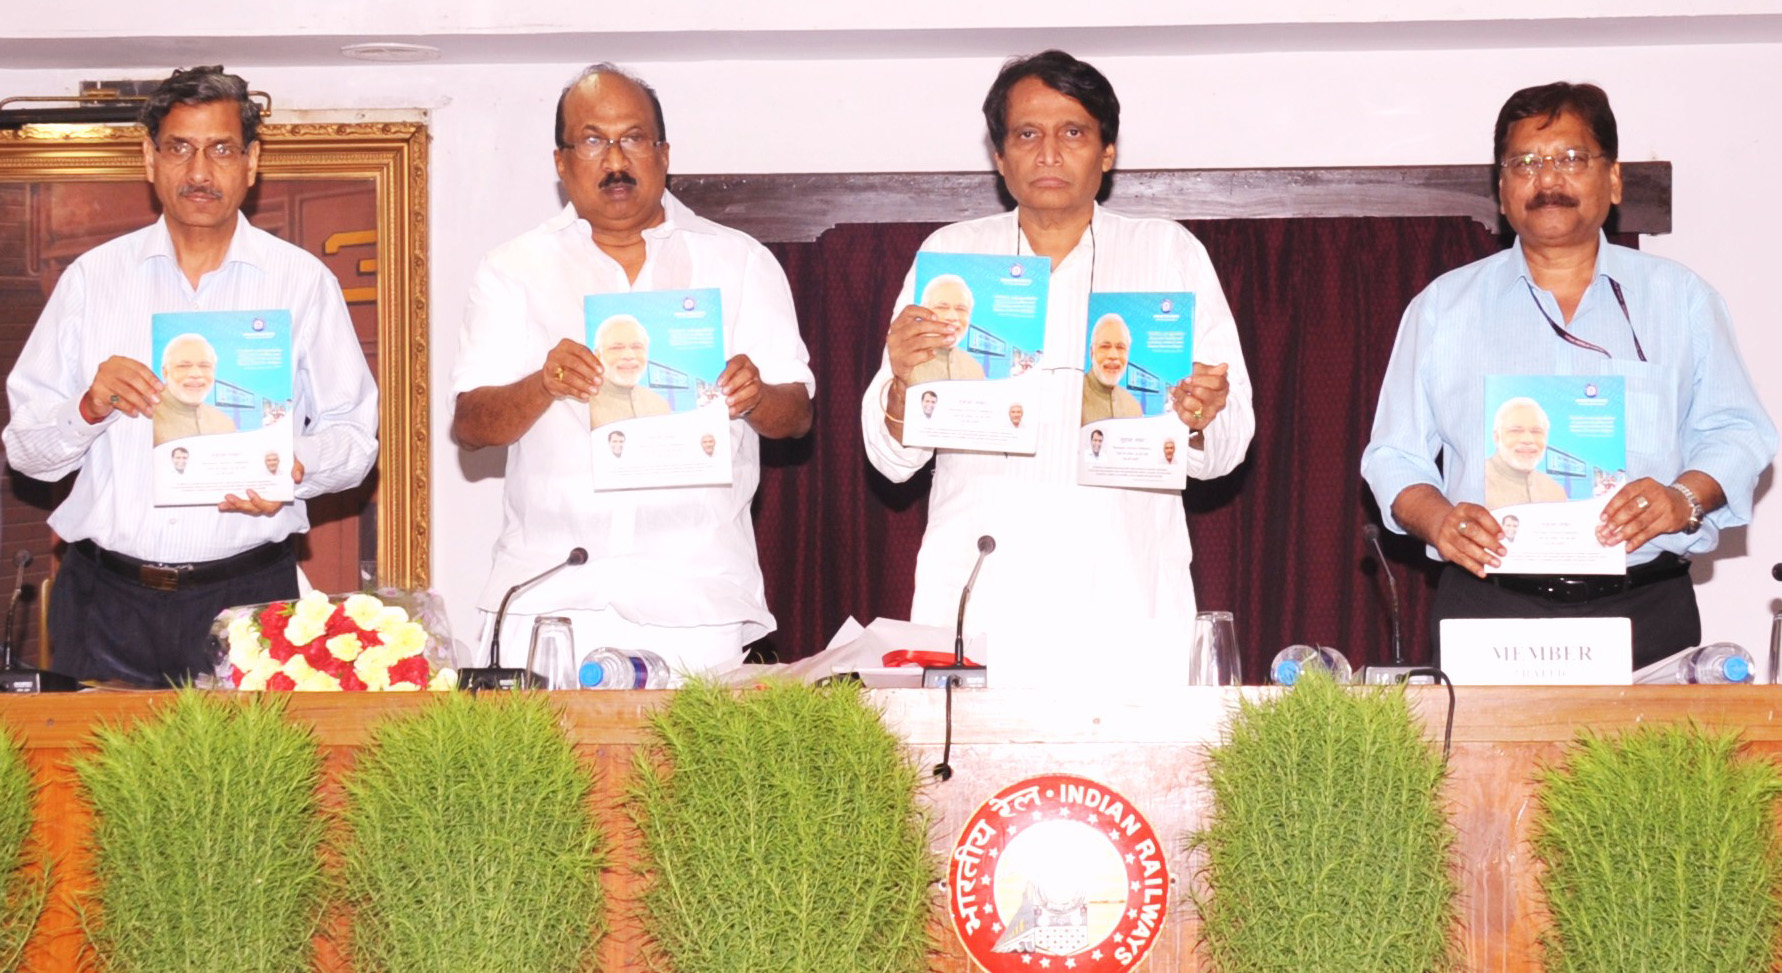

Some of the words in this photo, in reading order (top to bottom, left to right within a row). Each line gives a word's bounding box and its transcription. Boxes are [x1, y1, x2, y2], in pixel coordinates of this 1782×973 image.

[987, 783, 1044, 825] रेल
[1059, 782, 1143, 841] INDIAN
[953, 814, 999, 937] भारतीय
[1111, 837, 1163, 969] RAILWAYS